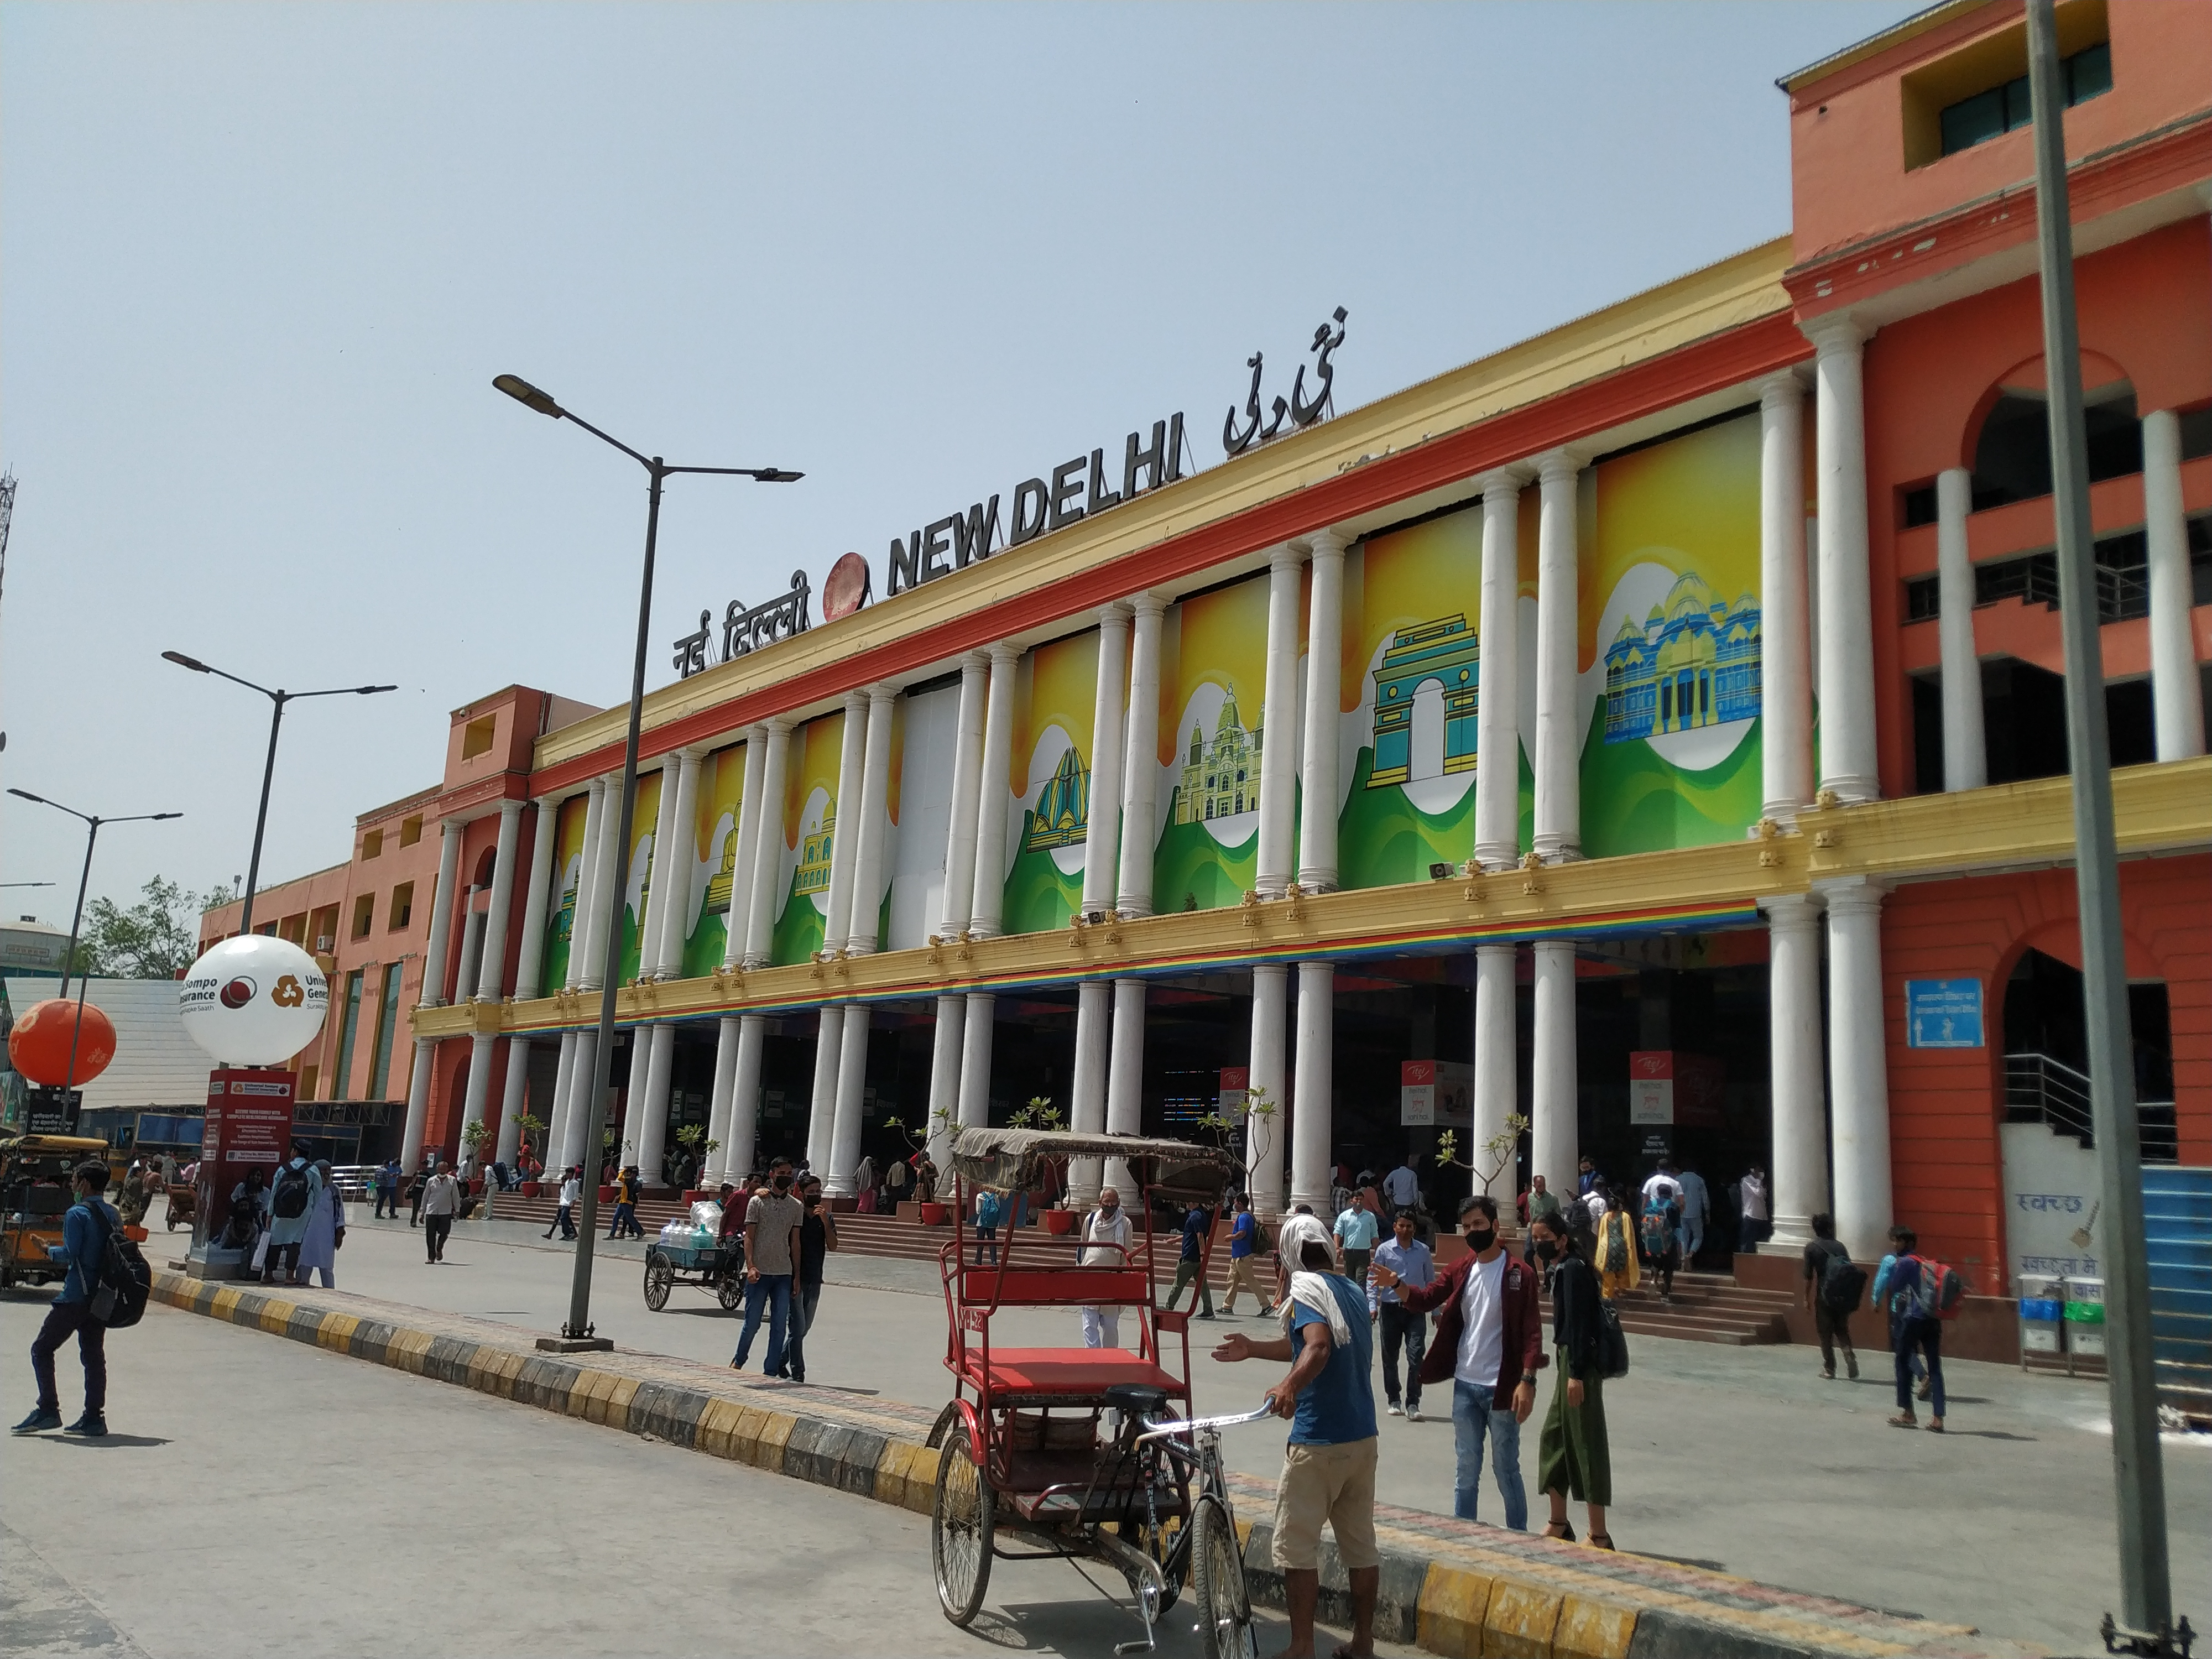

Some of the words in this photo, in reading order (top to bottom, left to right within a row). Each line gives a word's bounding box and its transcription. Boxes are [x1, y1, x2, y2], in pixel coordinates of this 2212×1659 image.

[1009, 410, 1182, 546] DELHI
[886, 493, 998, 597] NEW
[671, 608, 712, 680] नई
[720, 568, 812, 662] दिल्ली